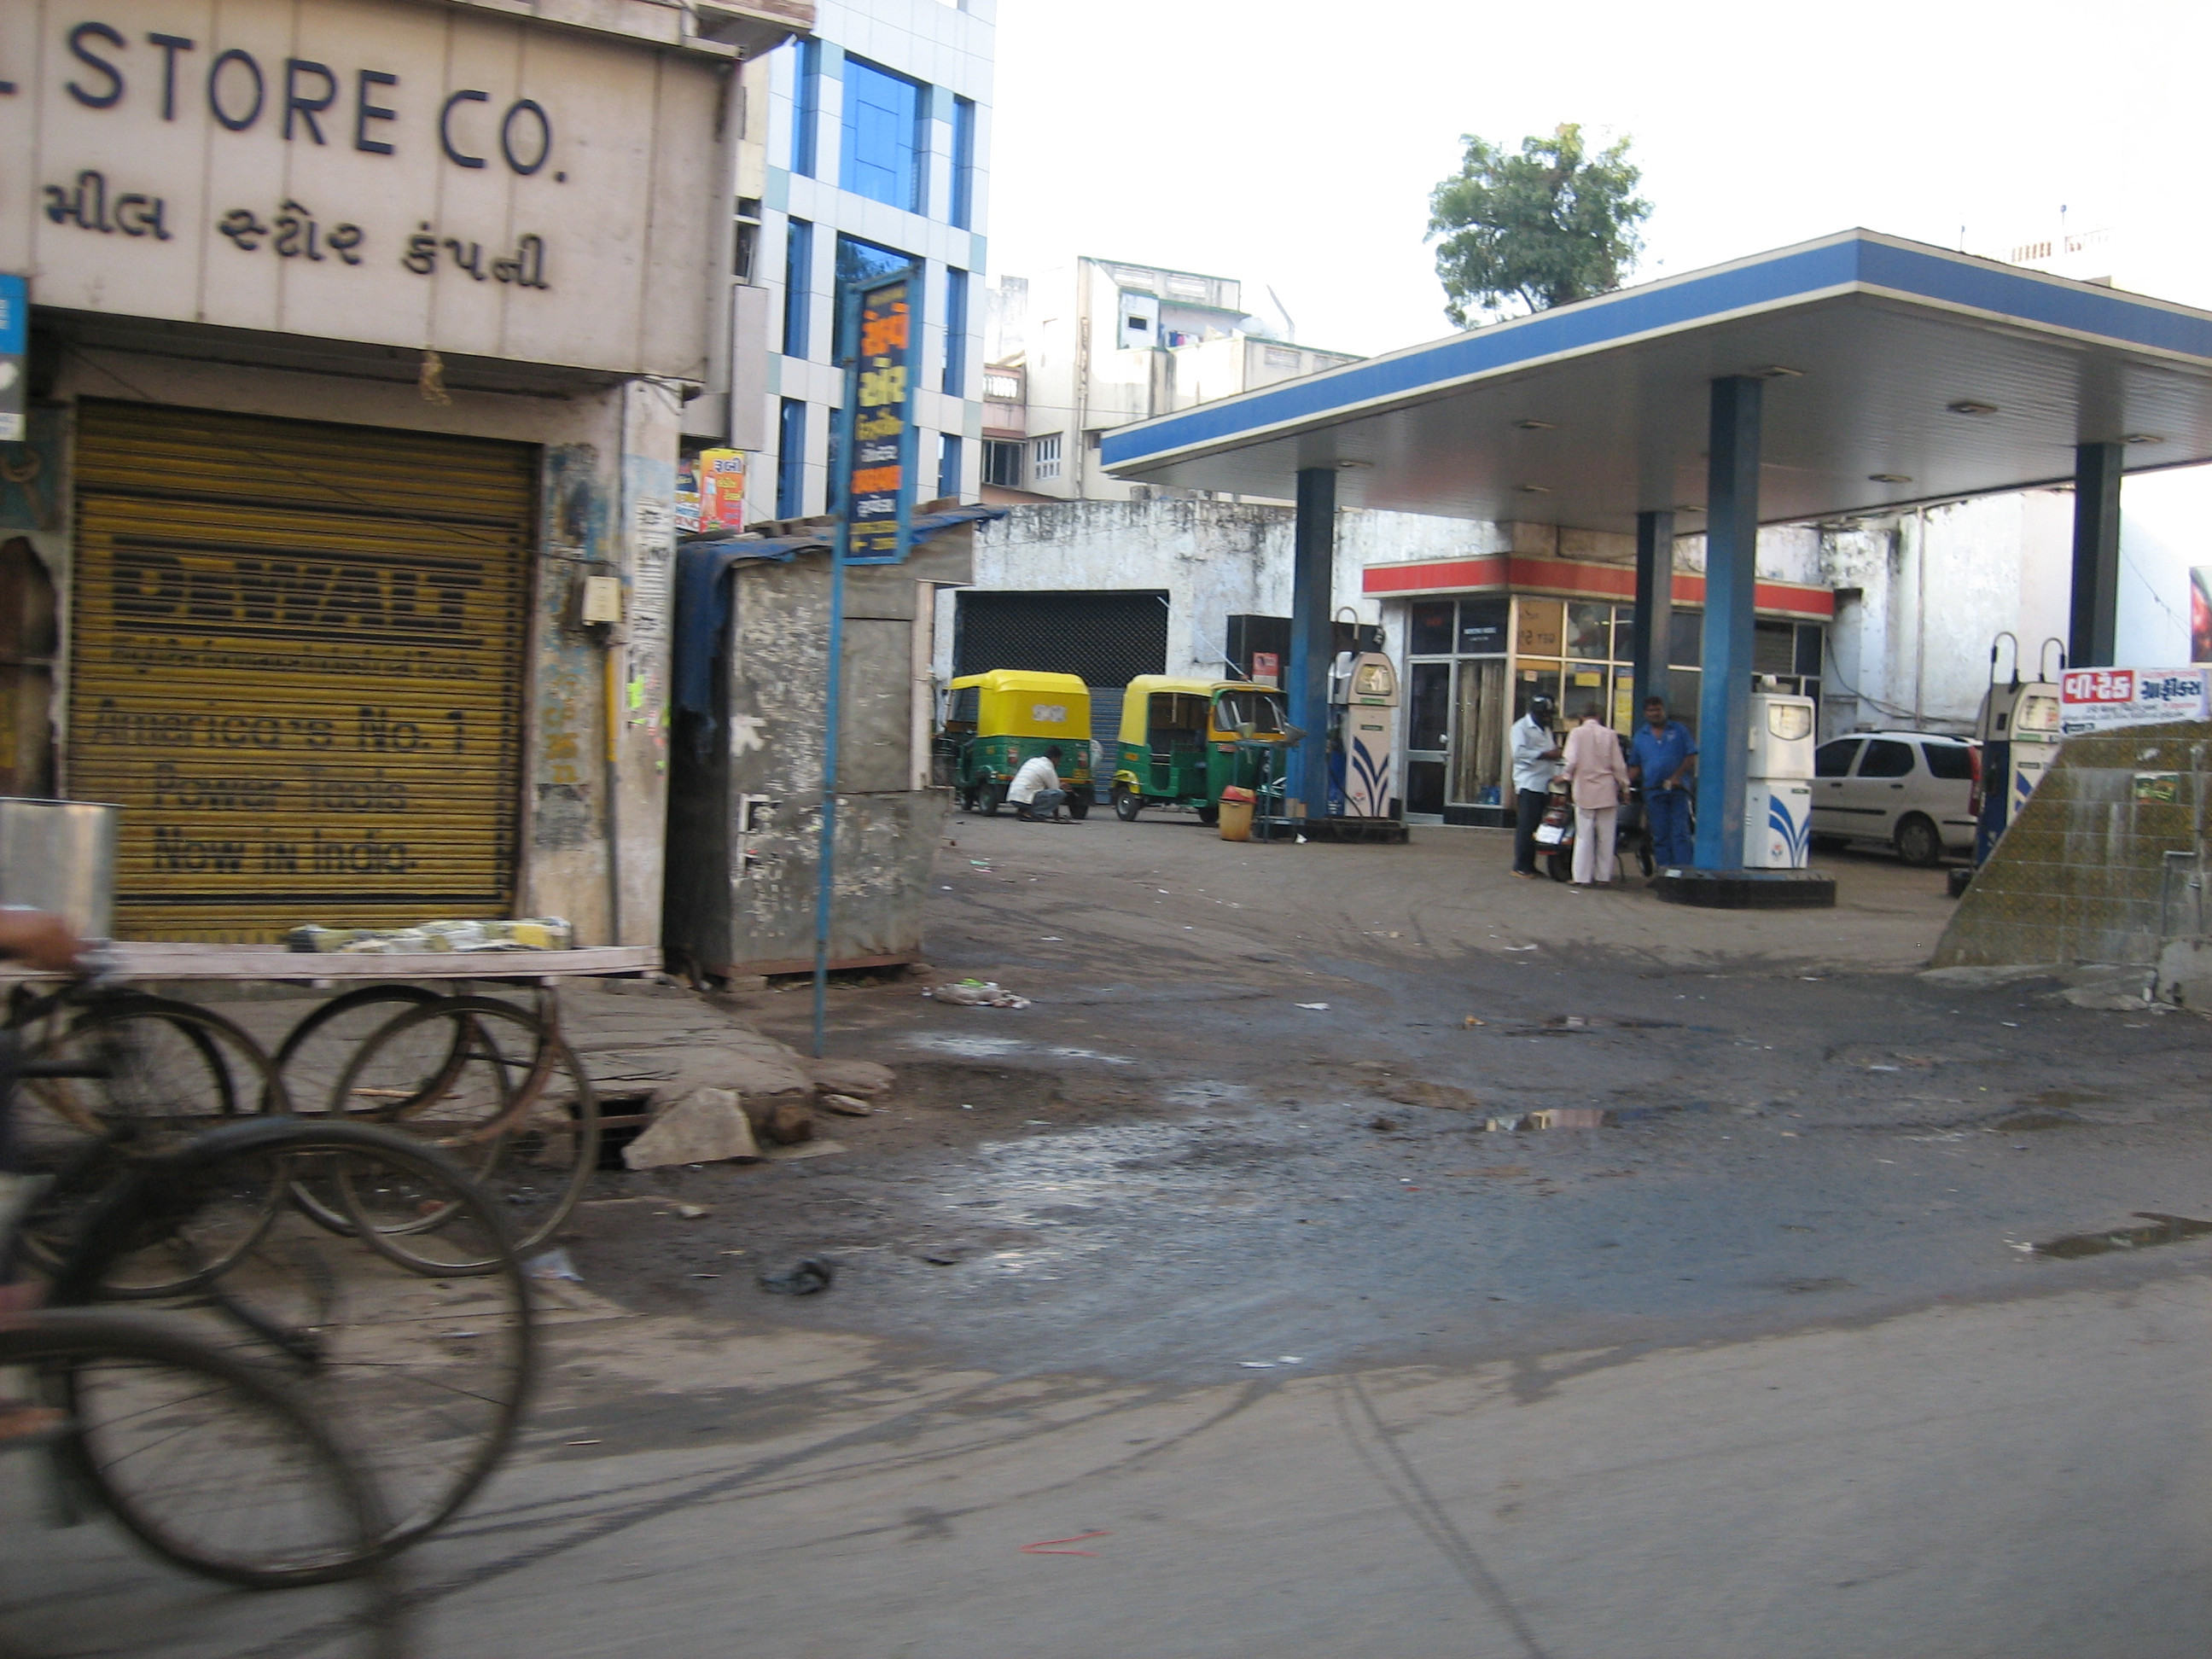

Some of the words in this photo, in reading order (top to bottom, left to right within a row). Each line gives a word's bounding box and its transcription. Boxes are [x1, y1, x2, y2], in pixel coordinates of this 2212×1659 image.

[61, 15, 406, 155] STORE
[430, 73, 567, 192] CO
[33, 160, 176, 242] મીલ
[218, 196, 361, 268] સ્ટોર
[397, 212, 556, 298] કં૫ની